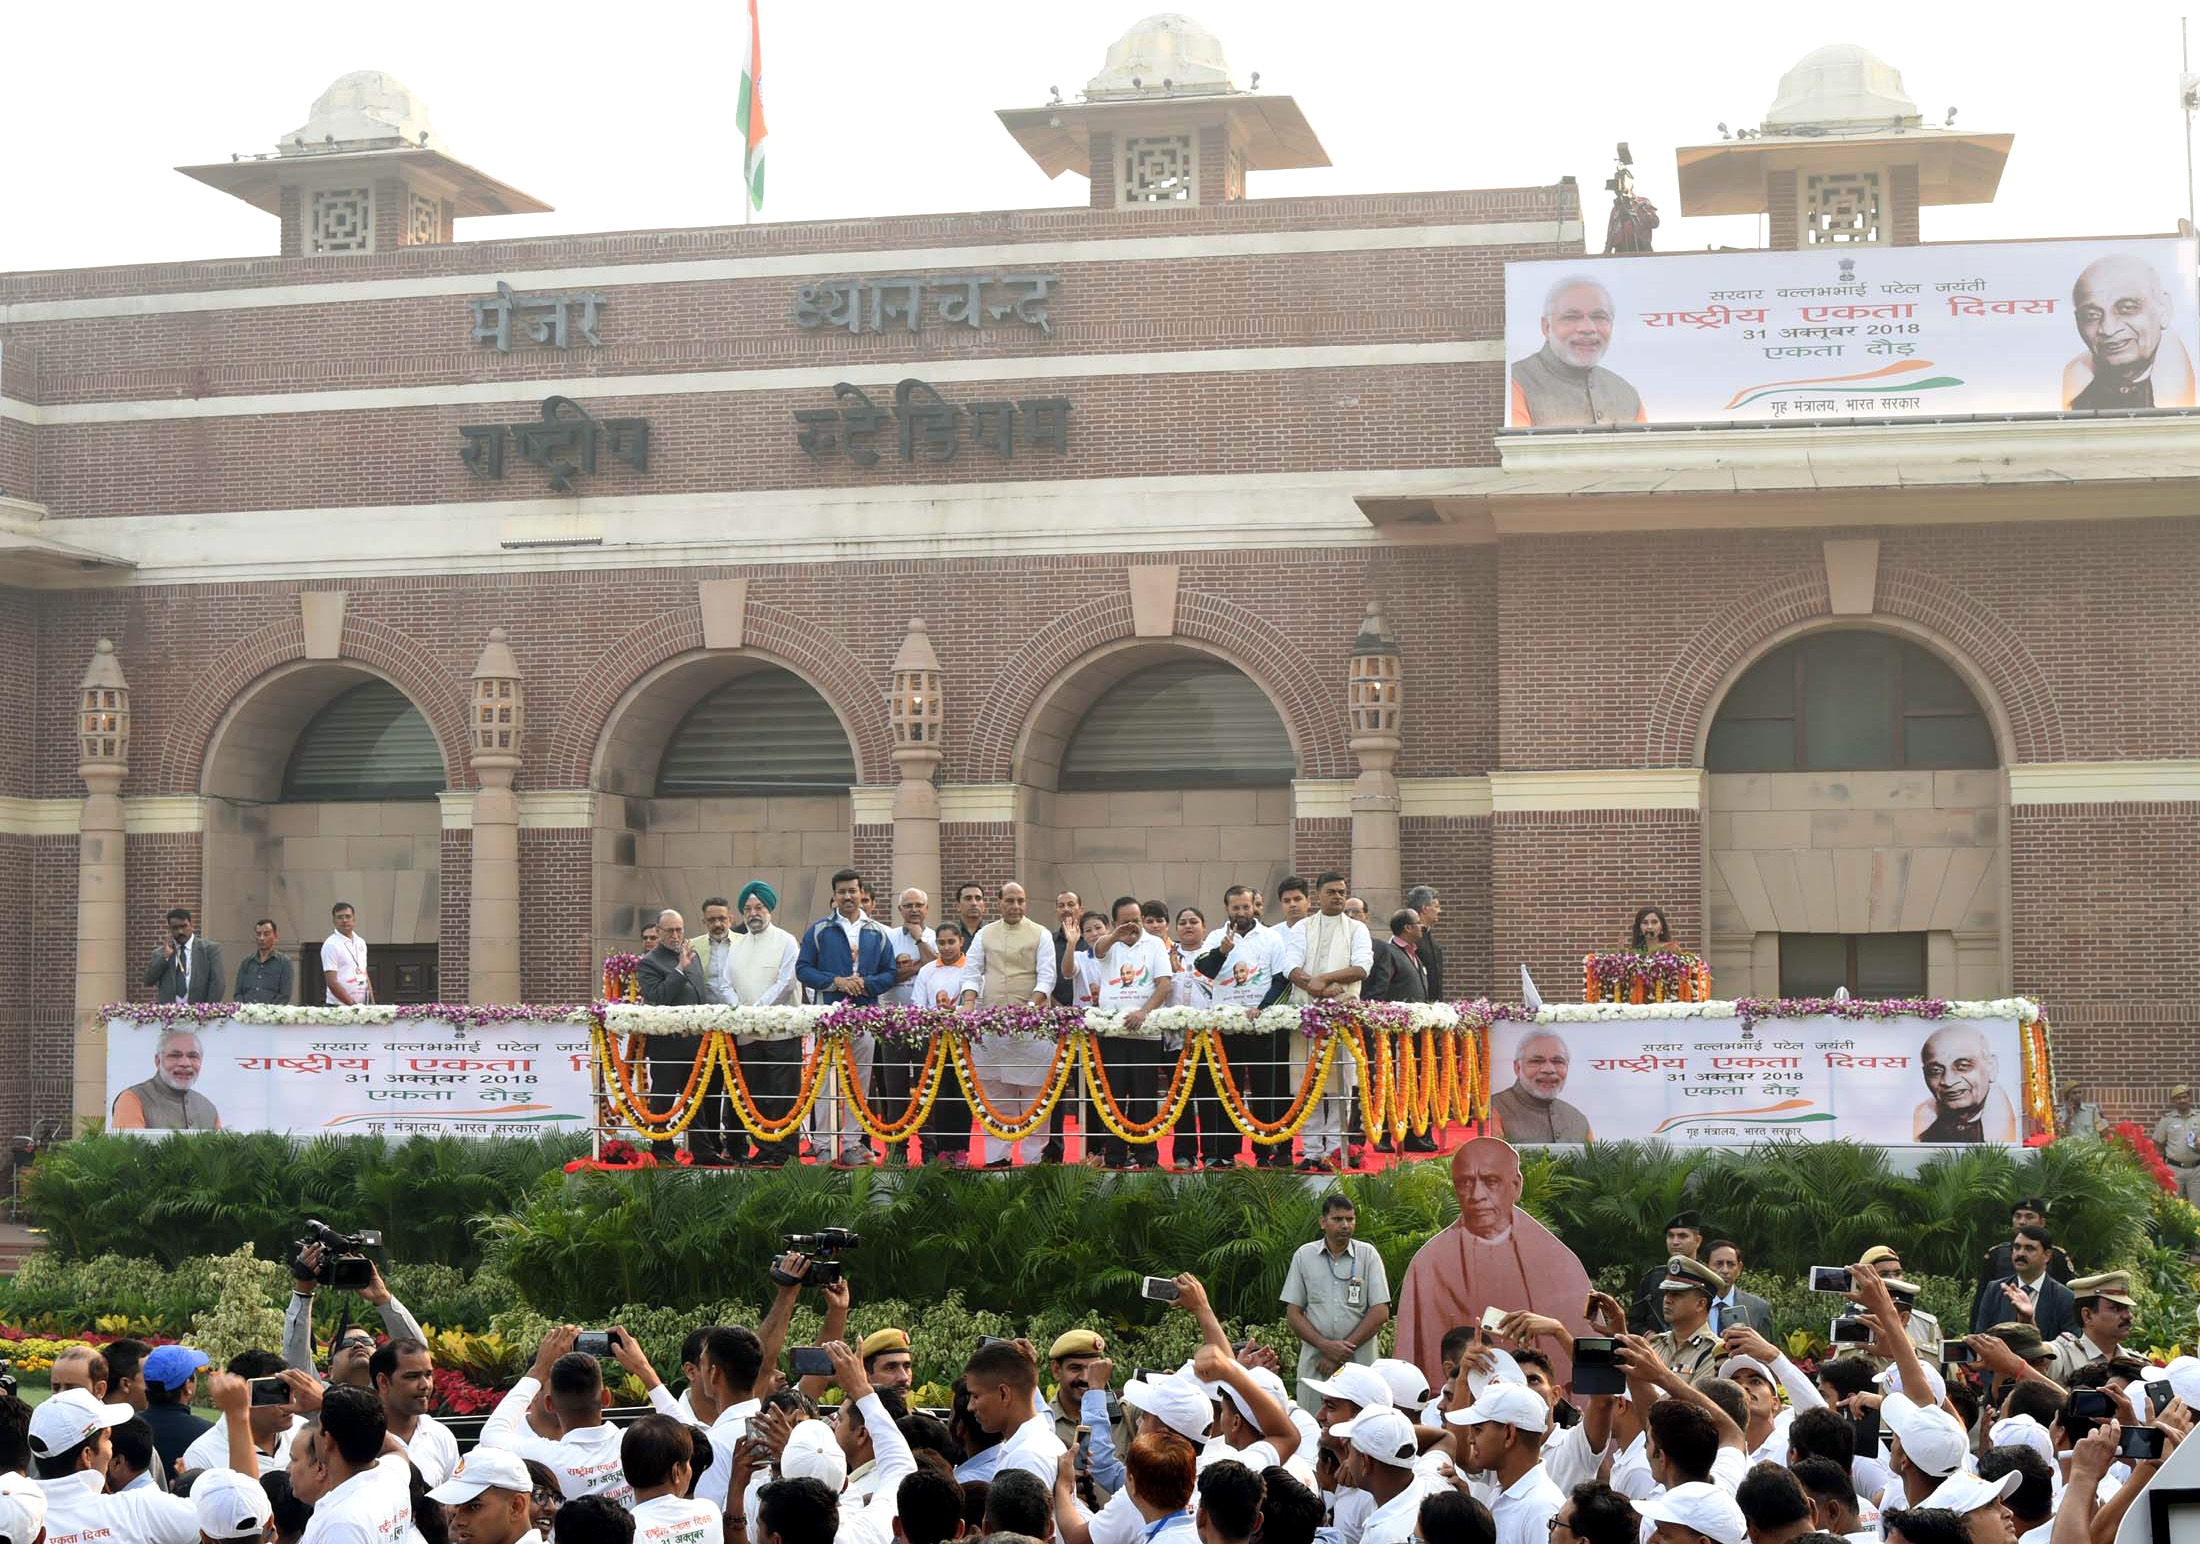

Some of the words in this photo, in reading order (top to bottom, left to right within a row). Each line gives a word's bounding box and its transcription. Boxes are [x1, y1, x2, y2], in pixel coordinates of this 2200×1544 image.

[465, 279, 611, 353] मेजर
[789, 271, 1058, 337] ध्यानचन्द
[1640, 301, 1773, 335] राष्ट्रीय
[1701, 287, 1766, 303] सरदार
[1776, 280, 1870, 303] वल्लभभाई
[1798, 301, 1915, 328] एकता
[1878, 277, 1923, 300] पटेल
[1933, 273, 1987, 299] जयंती
[1941, 289, 2059, 323] दिवस
[1739, 325, 1766, 344] 31
[1775, 323, 1859, 341] अक्तूबर
[1865, 319, 1921, 338] 2018
[1760, 343, 1847, 363] एकता
[1859, 332, 1916, 359] दौड़
[1766, 397, 1789, 421] गृह
[1791, 393, 1835, 415] मंत्रालय
[1843, 393, 1877, 416] भारत
[1879, 396, 1923, 411] सरकार
[789, 376, 1074, 472] स्टेडियम
[456, 389, 651, 498] राष्ट्रीय
[303, 1040, 369, 1055] सरदार
[376, 1037, 484, 1057] वल्लभभाई
[495, 1037, 543, 1055] पटेल
[554, 1037, 593, 1057] जयं
[1639, 1041, 1685, 1053] सरदार
[1692, 1038, 1764, 1053] वल्लभभाई
[1771, 1037, 1805, 1052] पटेल
[1814, 1036, 1857, 1054] जयंती
[234, 1049, 375, 1078] राष्ट्रीय
[407, 1056, 533, 1075] एकता
[1589, 1051, 1690, 1077] राष्ट्रीय
[1709, 1054, 1801, 1073] एकता
[1822, 1047, 1912, 1072] दिवस
[343, 1070, 373, 1086] 31
[366, 1087, 457, 1105] एकता
[383, 1071, 469, 1090] अक्तूबर
[474, 1083, 534, 1106] दौड़
[476, 1071, 540, 1086] 2018
[1663, 1071, 1687, 1087] 31
[1681, 1083, 1747, 1101] एकता
[1694, 1071, 1755, 1085] अक्तूबर
[1761, 1075, 1801, 1101] दौड़
[1761, 1069, 1805, 1083] 2018
[361, 1119, 389, 1137] गृह
[391, 1115, 443, 1135] मंत्रालय
[452, 1120, 488, 1137] भारत
[493, 1121, 543, 1137] सरकार
[1683, 1125, 1701, 1142] गृह
[1701, 1123, 1740, 1139] मंत्रालय
[1738, 1125, 1768, 1140] भारत
[1768, 1125, 1804, 1139] सरकार